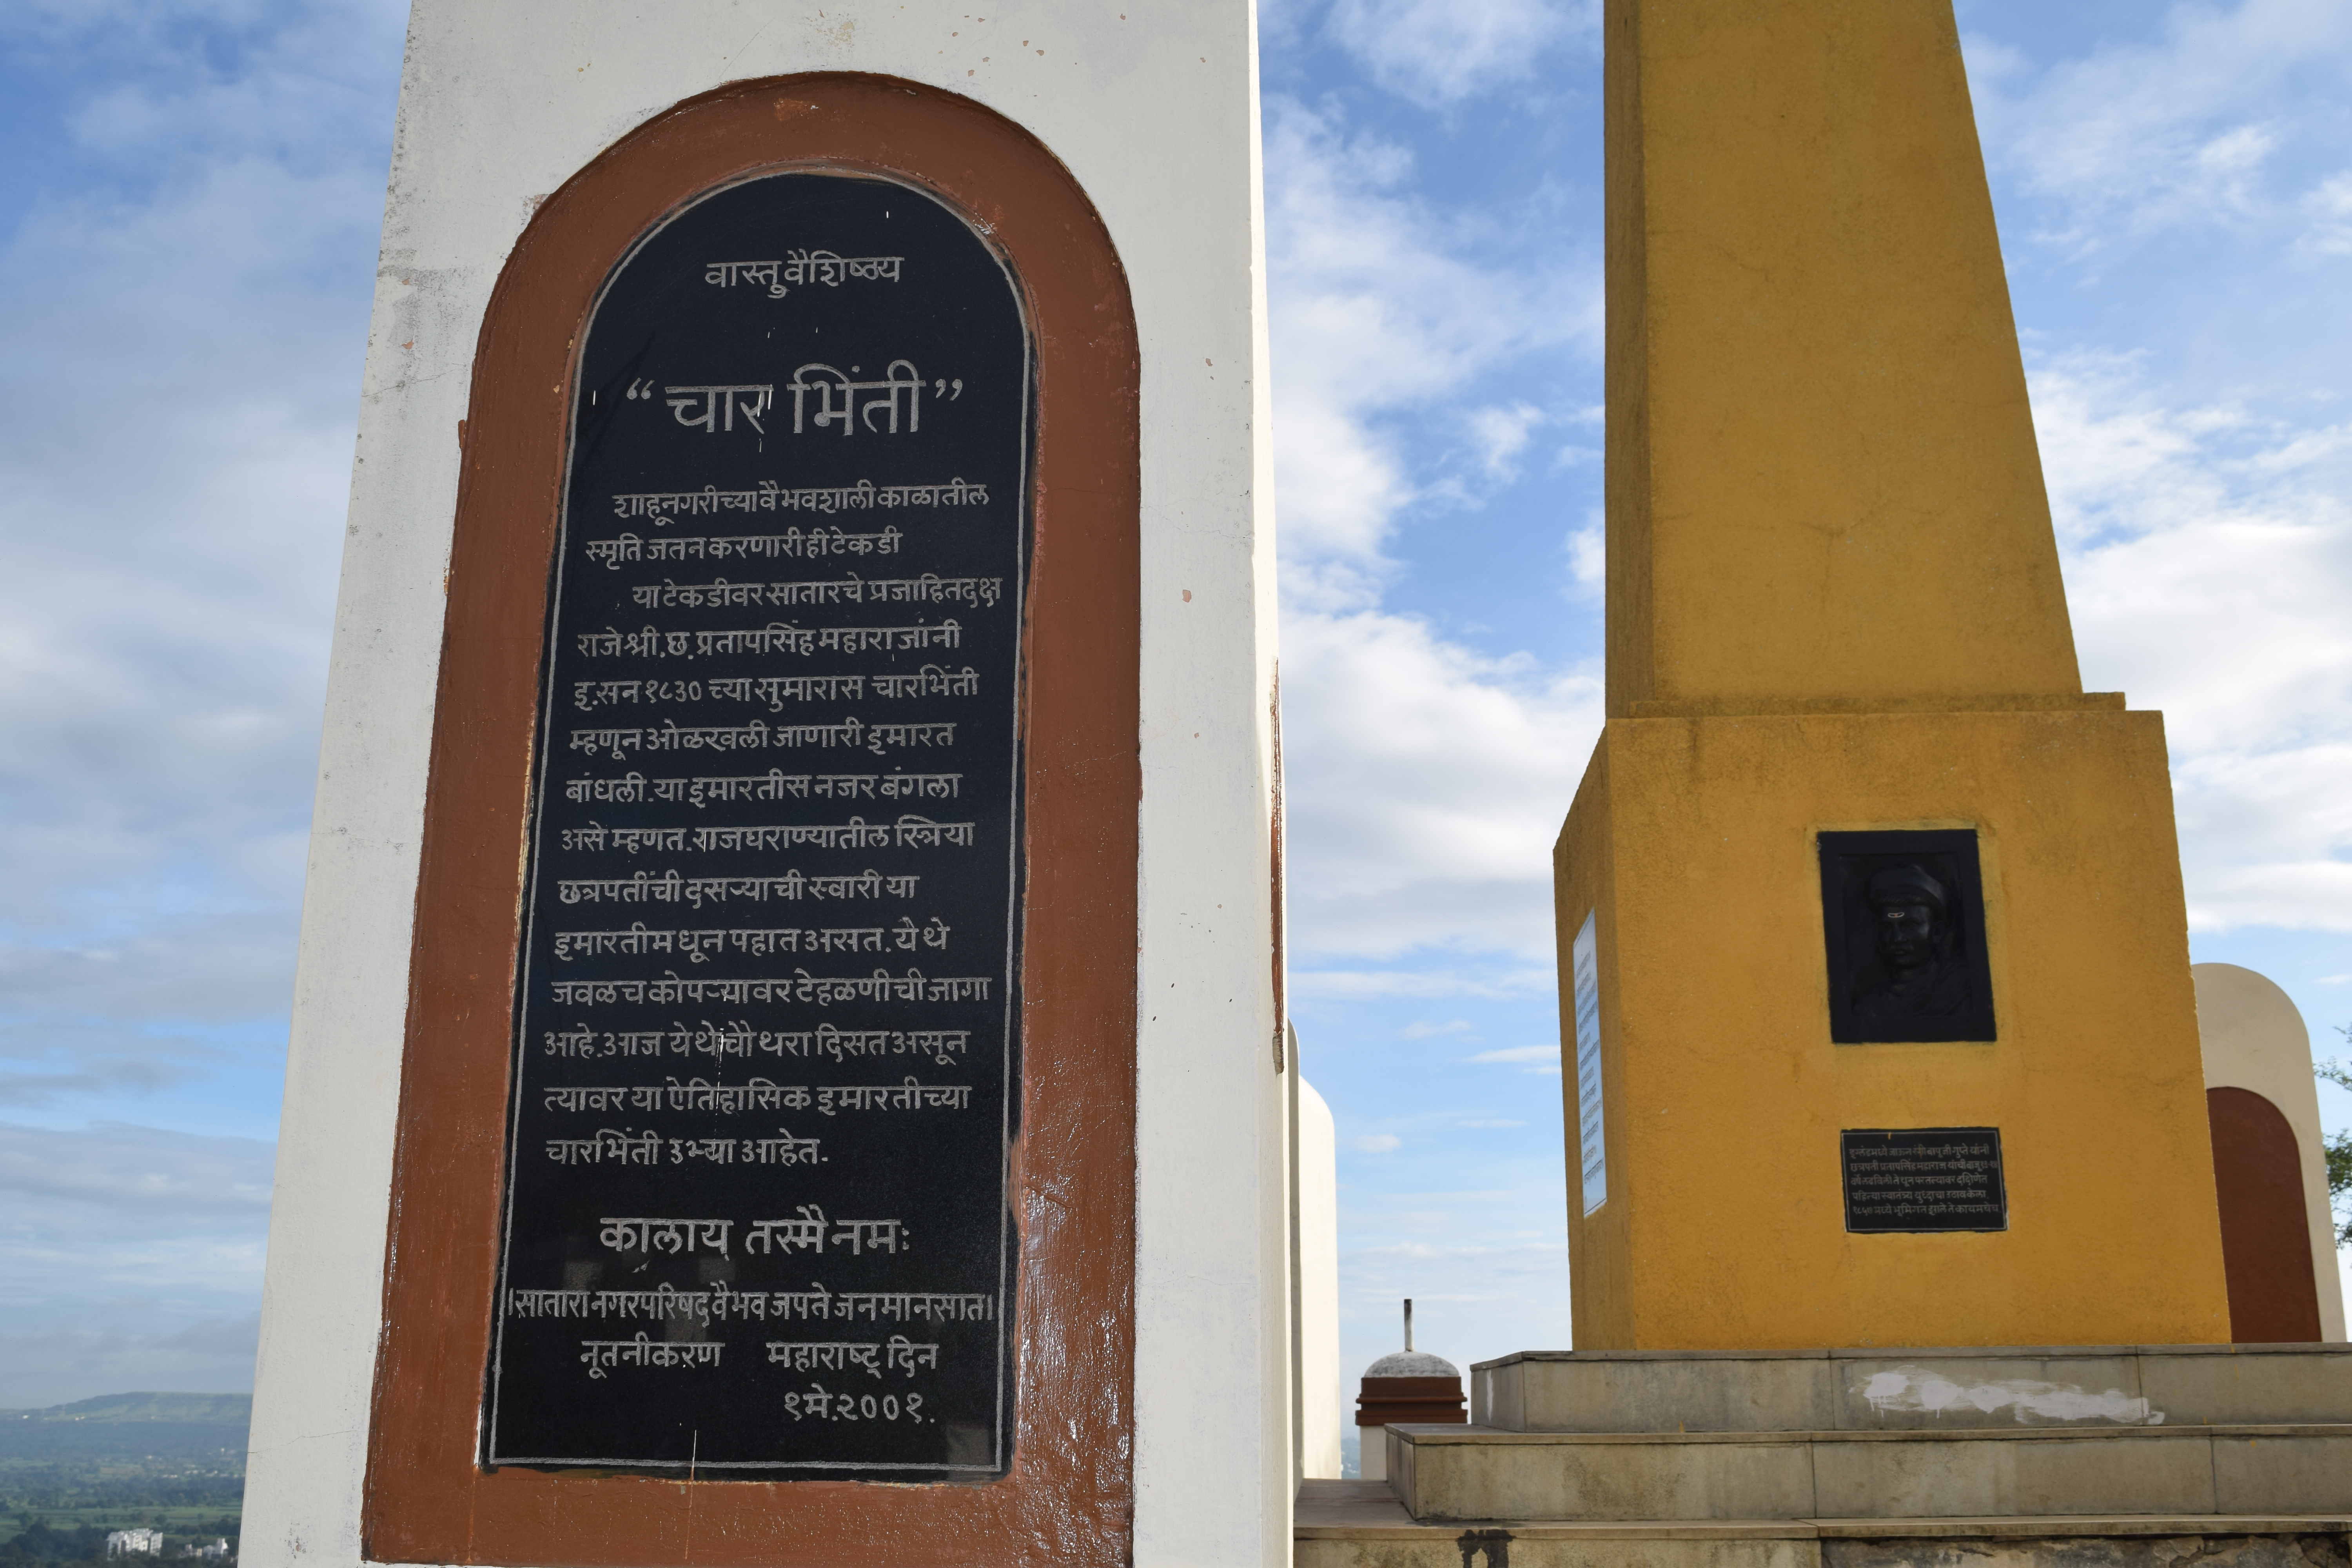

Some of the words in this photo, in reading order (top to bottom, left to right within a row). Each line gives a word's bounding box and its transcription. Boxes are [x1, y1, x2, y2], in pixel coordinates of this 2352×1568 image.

[699, 257, 793, 305] वास्तु
[781, 245, 907, 292] वैशिष्ठय
[618, 370, 777, 444] “चार
[782, 355, 963, 442] भिंती”
[605, 483, 759, 528] शाहूनगरीच्या
[756, 476, 781, 515] वै
[780, 475, 879, 517] भवशाली
[876, 474, 992, 511] काळातील
[581, 530, 646, 574] स्मृति
[645, 535, 708, 564] जतन
[707, 523, 807, 564] करणारी
[804, 524, 831, 561] ह‍ी
[827, 523, 909, 559] टेकडी
[627, 581, 662, 613] या
[660, 574, 768, 611] टेकडीवर
[764, 569, 866, 609] सातारचे
[866, 569, 1007, 614] प्रजाहितदक्ष
[573, 621, 624, 664] राजे
[622, 621, 697, 664] श्री. छ.
[692, 617, 817, 662] प्रतापसिंह
[817, 616, 967, 659] महाराजांनी
[568, 676, 603, 717] इ.
[593, 677, 643, 710] सन
[642, 676, 705, 708] १८30
[704, 673, 755, 708] च्या
[753, 672, 868, 716] सुमारास
[867, 662, 984, 703] चारभिंती
[566, 724, 645, 764] म्हणून
[642, 714, 772, 759] ओळखली
[771, 713, 868, 753] जाणारी
[863, 715, 960, 758] इमारत
[561, 768, 660, 813] बांधली.
[650, 771, 690, 806] या
[684, 764, 816, 815] इमारतीस
[811, 764, 881, 804] नजर
[877, 764, 968, 804] बंगला
[555, 817, 610, 858] असे
[609, 823, 697, 857] म्हणत.
[689, 812, 892, 855] राजघराण्यातील
[891, 809, 984, 853] स्त्रिया
[552, 863, 686, 911] छत्रपतींची
[683, 865, 808, 914] दसऱ्याची
[807, 866, 885, 906] स्वारी
[883, 870, 923, 902] या
[549, 919, 678, 967] इमारतीम
[676, 924, 727, 967] धून
[728, 923, 803, 960] पहात
[801, 921, 895, 957] असत.
[889, 910, 958, 957] येथे
[547, 977, 649, 1011] जवळच
[648, 966, 796, 1010] कोपऱ्यावर
[789, 963, 929, 1008] टेहळणीची
[924, 975, 996, 1007] जागा
[540, 1020, 604, 1065] आहे.
[600, 1024, 667, 1061] आज
[665, 1014, 760, 1066] येथेचौ
[755, 1026, 813, 1062] थरा
[812, 1018, 977, 1073] दिसतअसून
[537, 1081, 630, 1117] त्यावर
[627, 1082, 667, 1118] या
[660, 1071, 815, 1119] ऐतिहासिक
[813, 1069, 977, 1120] इमारतीच्या
[541, 1122, 668, 1175] चारभिंती
[664, 1134, 740, 1170] उभ्या
[739, 1124, 833, 1174] आहेत.
[593, 1208, 737, 1264] कालाय्
[740, 1199, 831, 1261] तस्मै
[831, 1212, 909, 1259] नमः
[506, 1284, 594, 1321] ।सातारा
[589, 1277, 712, 1331] नगरपरिषद
[705, 1276, 771, 1327] वैभव
[766, 1279, 835, 1325] जपते
[830, 1285, 996, 1328] जनमानसात।
[573, 1328, 731, 1388] नूतनीकऱण
[764, 1336, 885, 1383] महाराष्ट्
[883, 1329, 944, 1384] दिन
[776, 1378, 940, 1431] ९मे.२००१.